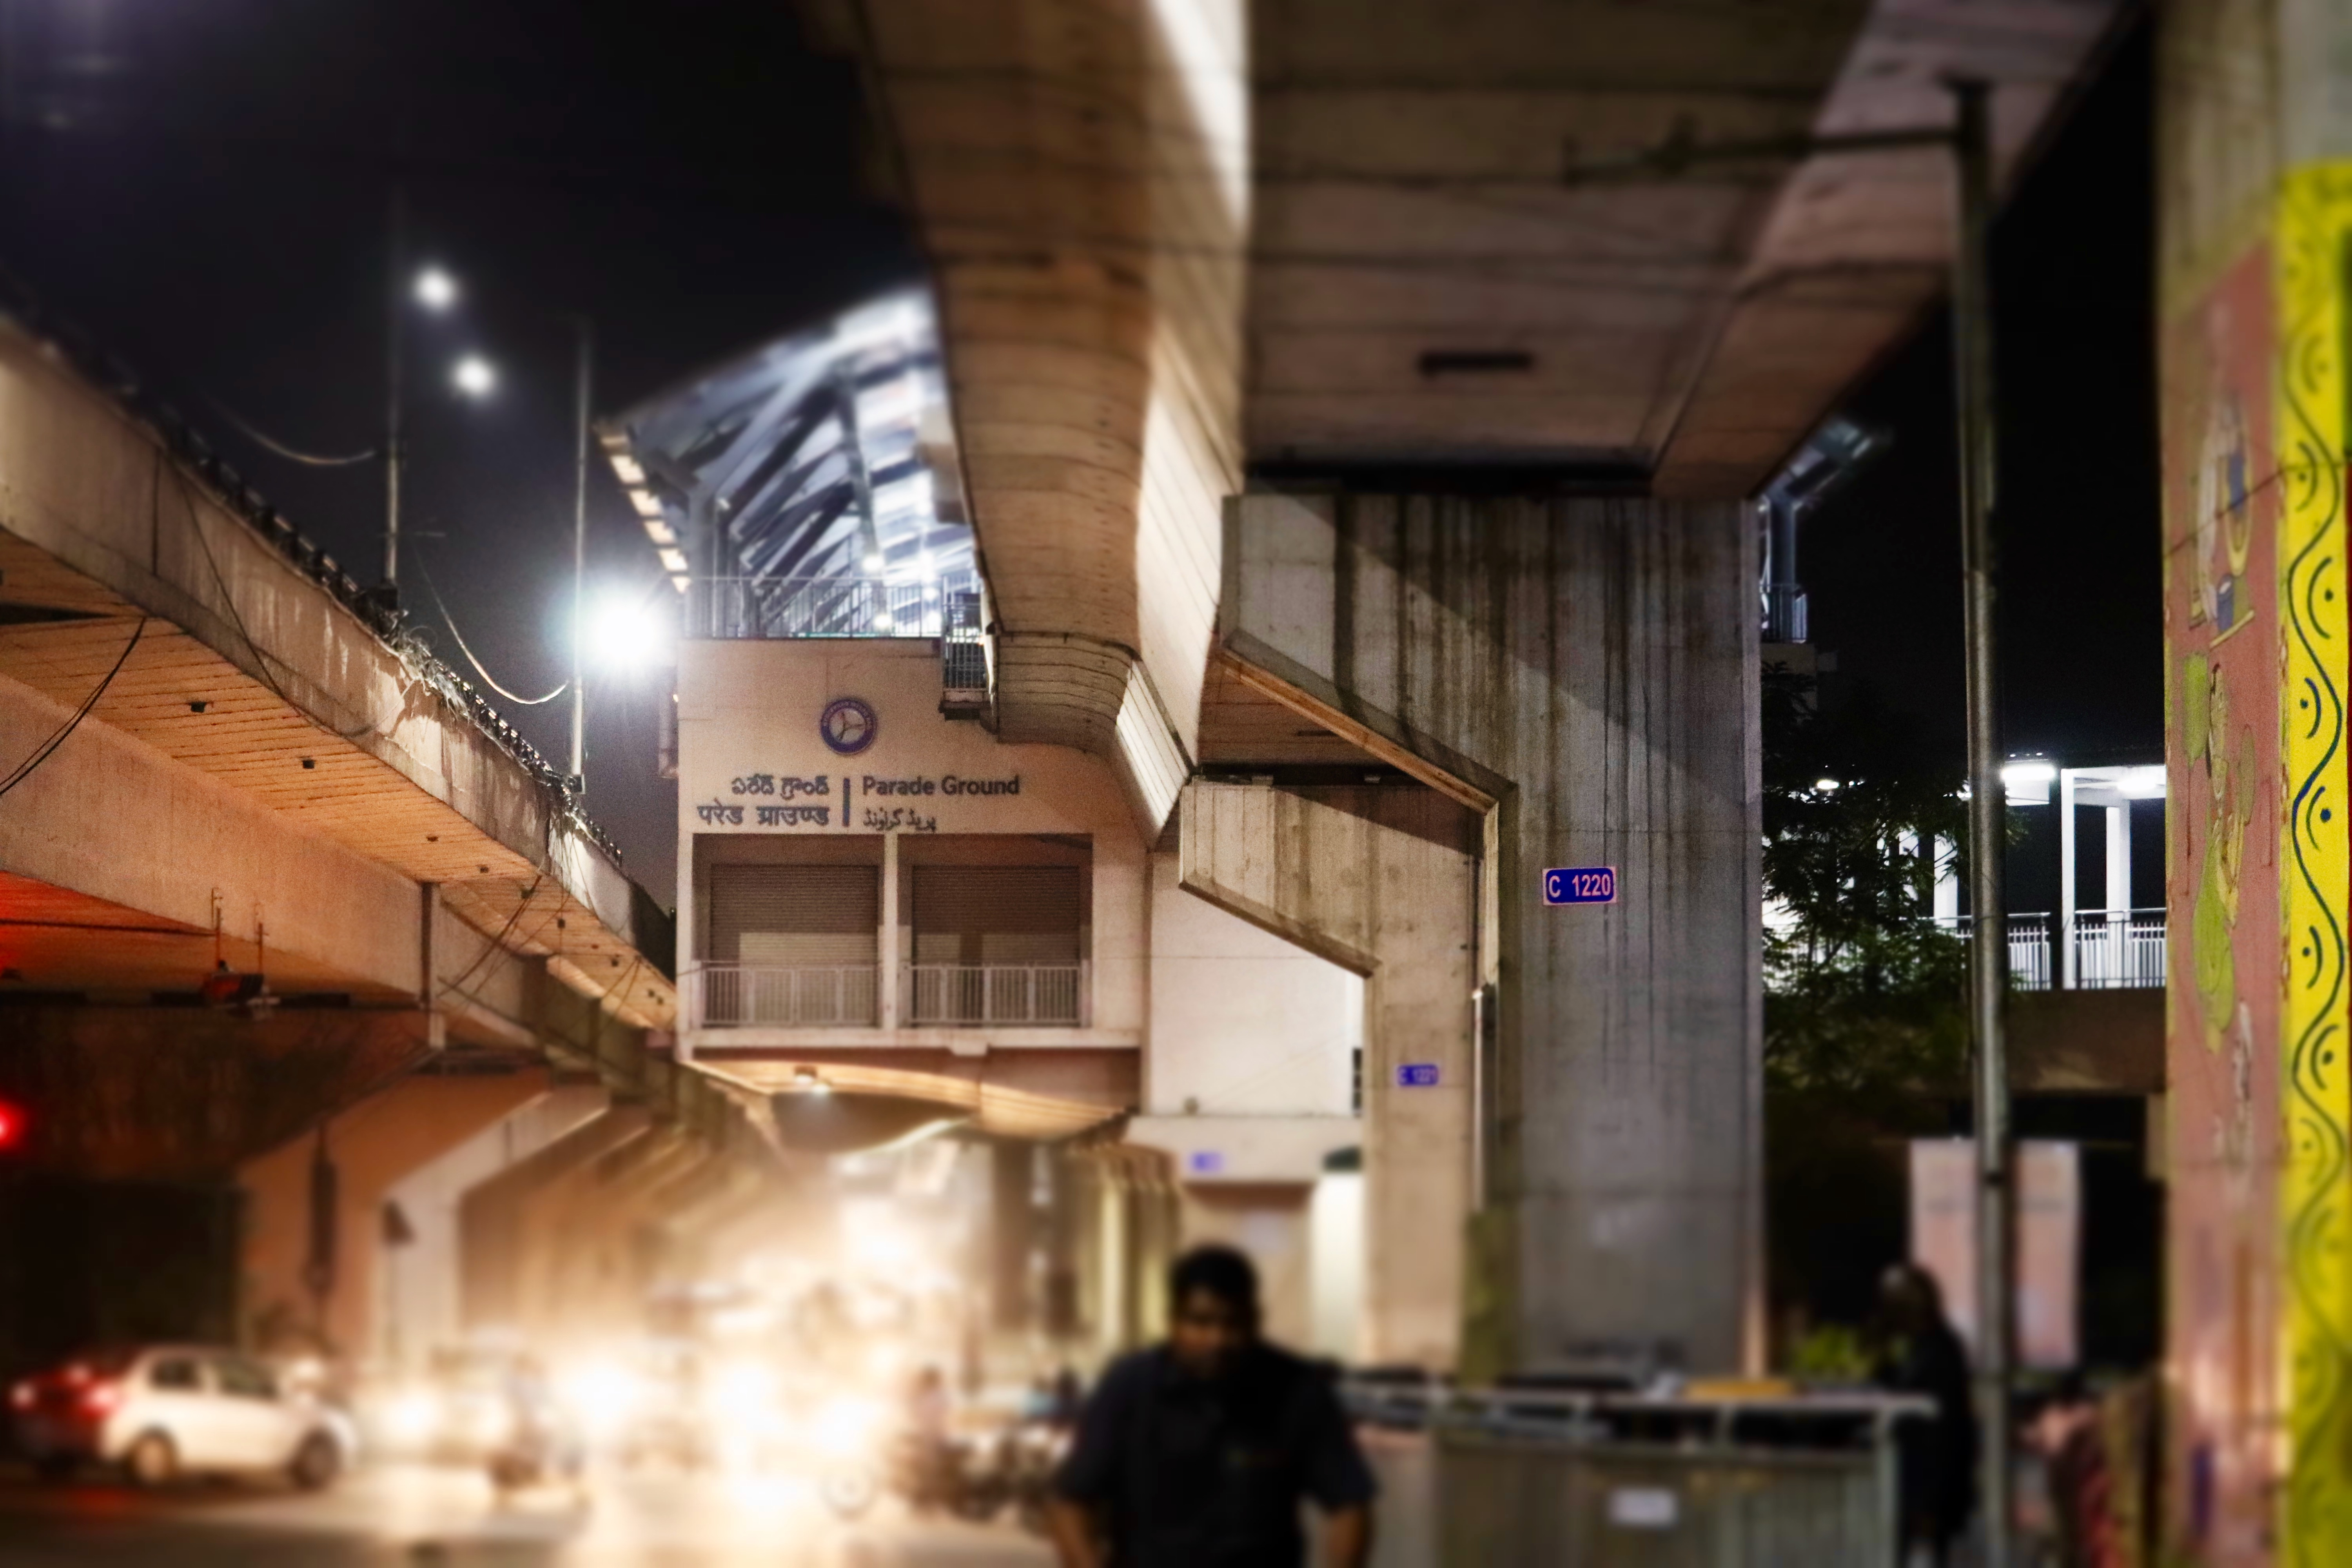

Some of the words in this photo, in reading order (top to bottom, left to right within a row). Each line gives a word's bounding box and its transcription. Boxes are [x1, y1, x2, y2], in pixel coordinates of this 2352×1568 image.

[729, 772, 776, 797] పరేడ్
[778, 775, 832, 802] గ్రాండ్
[861, 774, 937, 797] Parade
[938, 771, 1022, 798] Ground
[696, 796, 745, 827] परेड
[755, 805, 831, 829] ग्राउण्ड
[1544, 871, 1612, 901] C1220